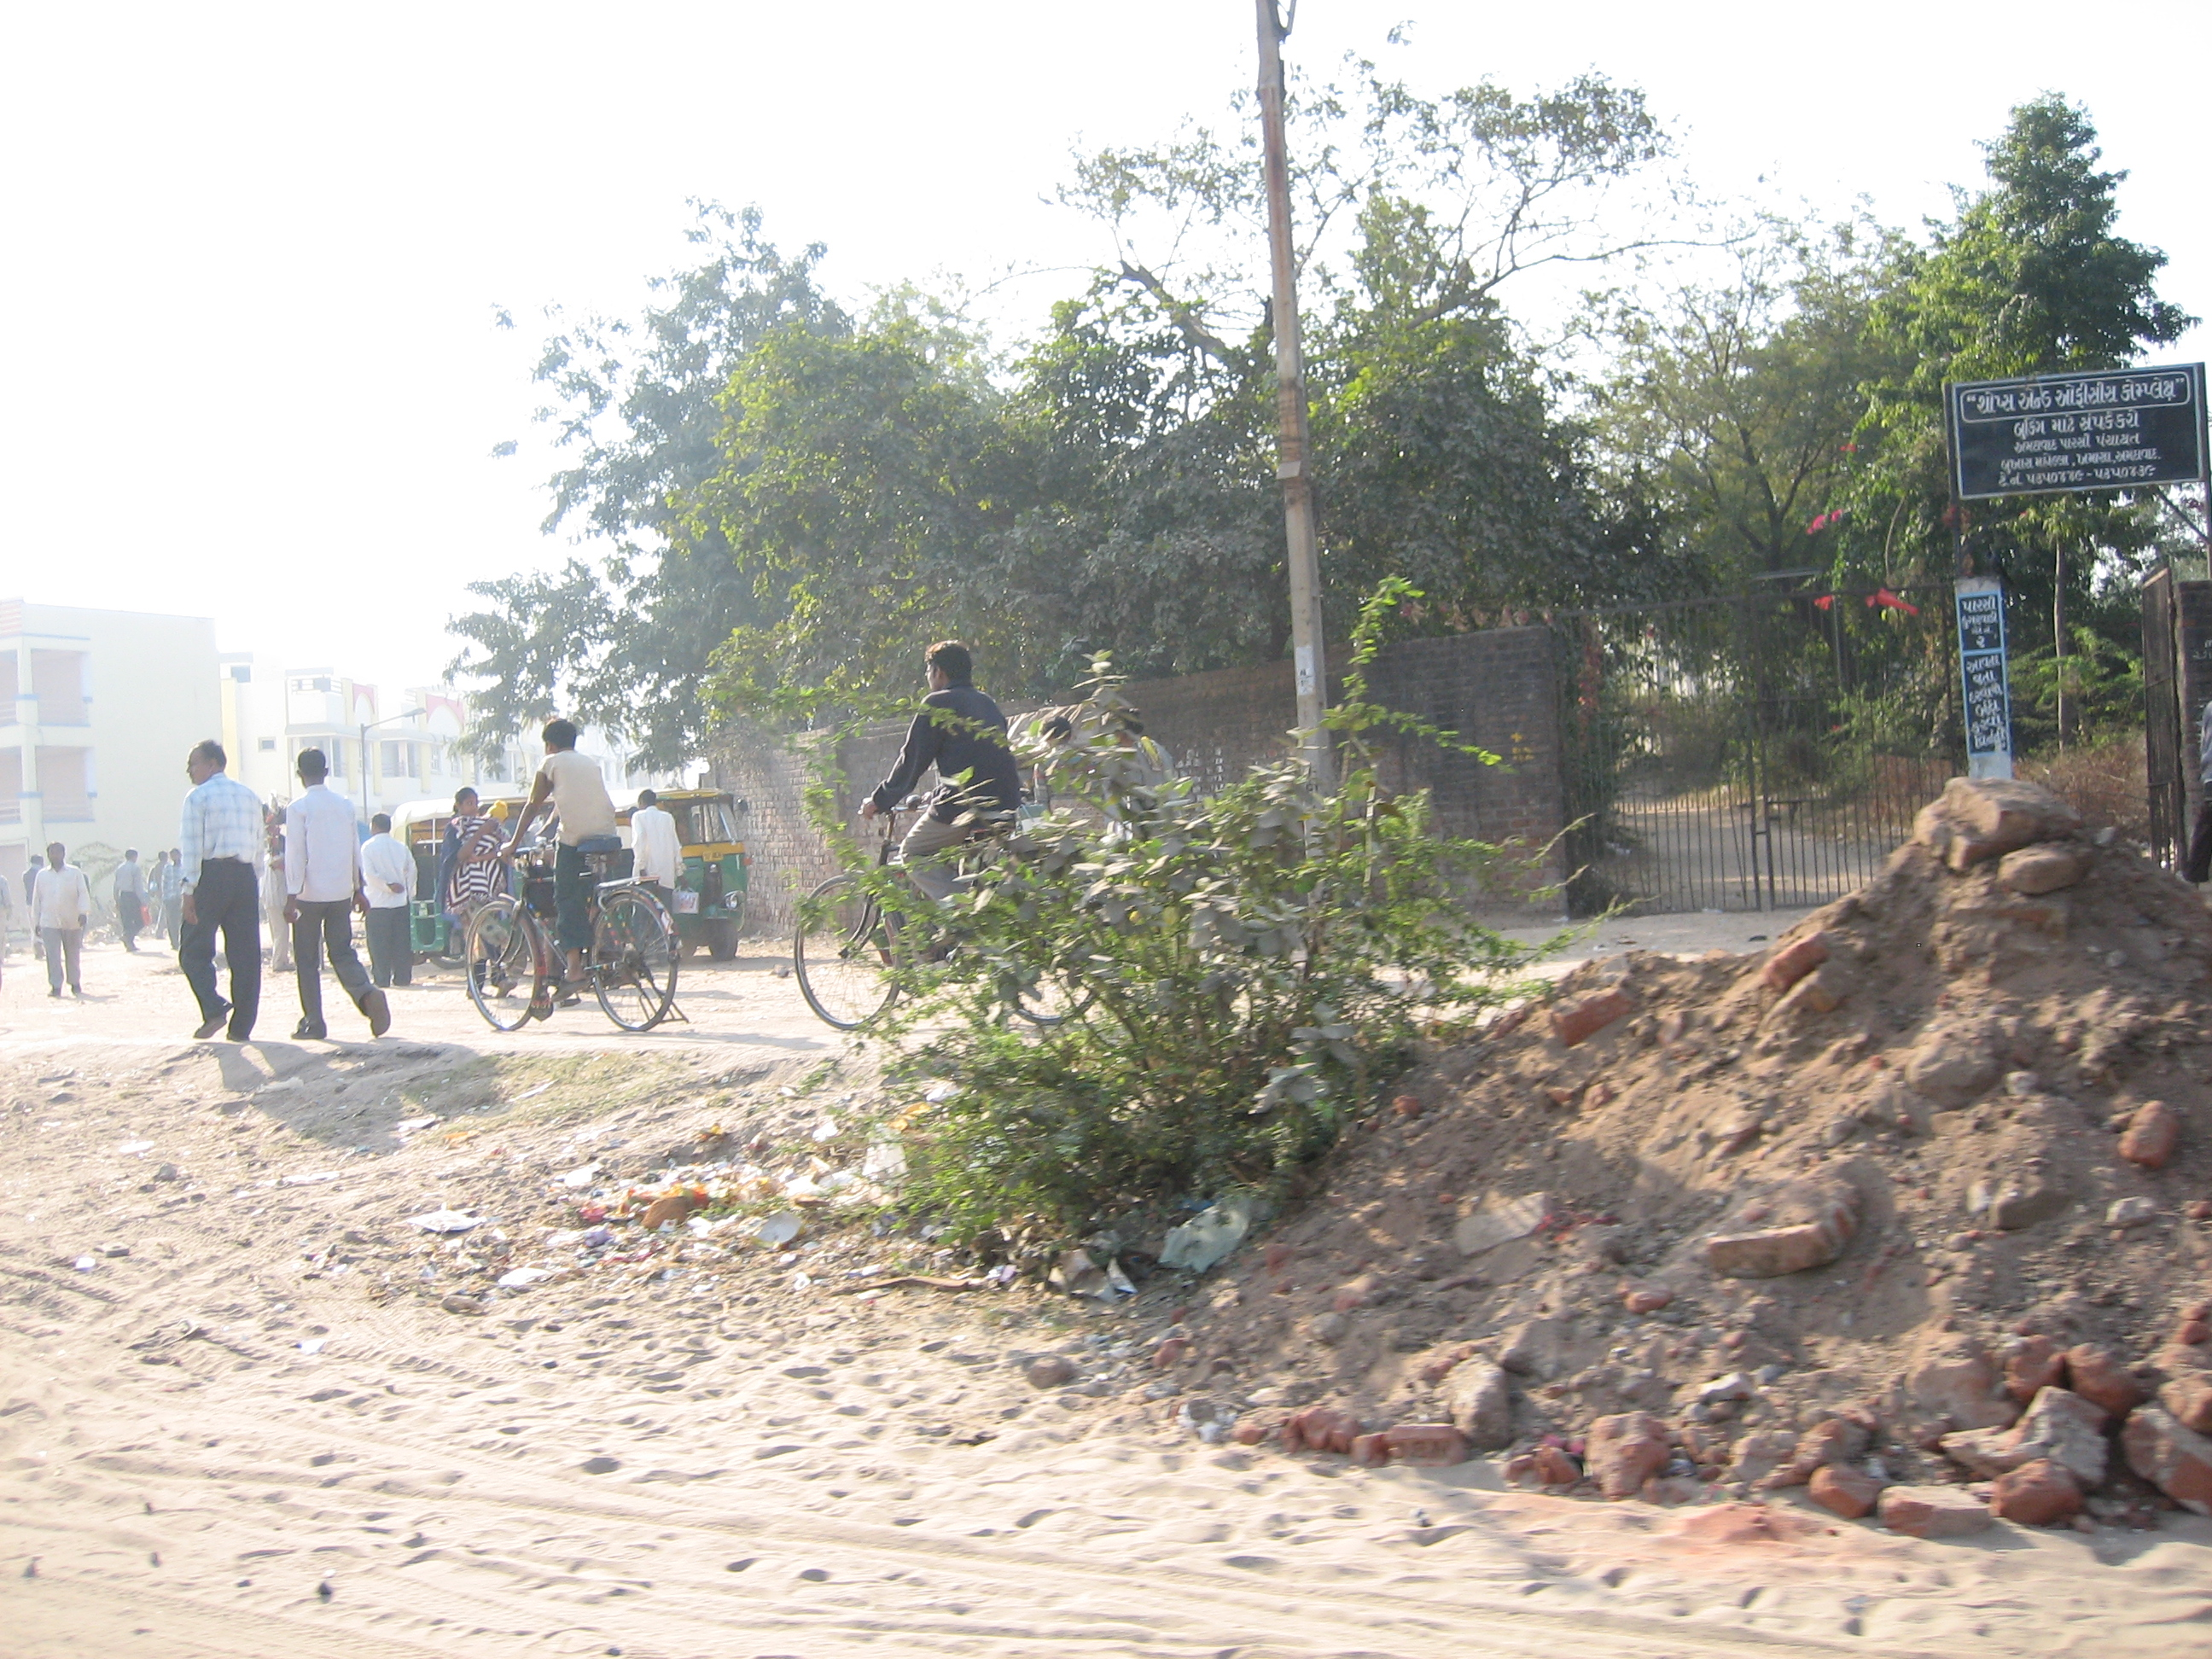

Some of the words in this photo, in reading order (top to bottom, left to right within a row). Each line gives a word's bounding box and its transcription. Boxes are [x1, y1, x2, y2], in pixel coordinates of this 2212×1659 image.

[1965, 383, 2053, 417] શૉપ્સએન્ડ
[2053, 379, 2111, 404] આકીસીર